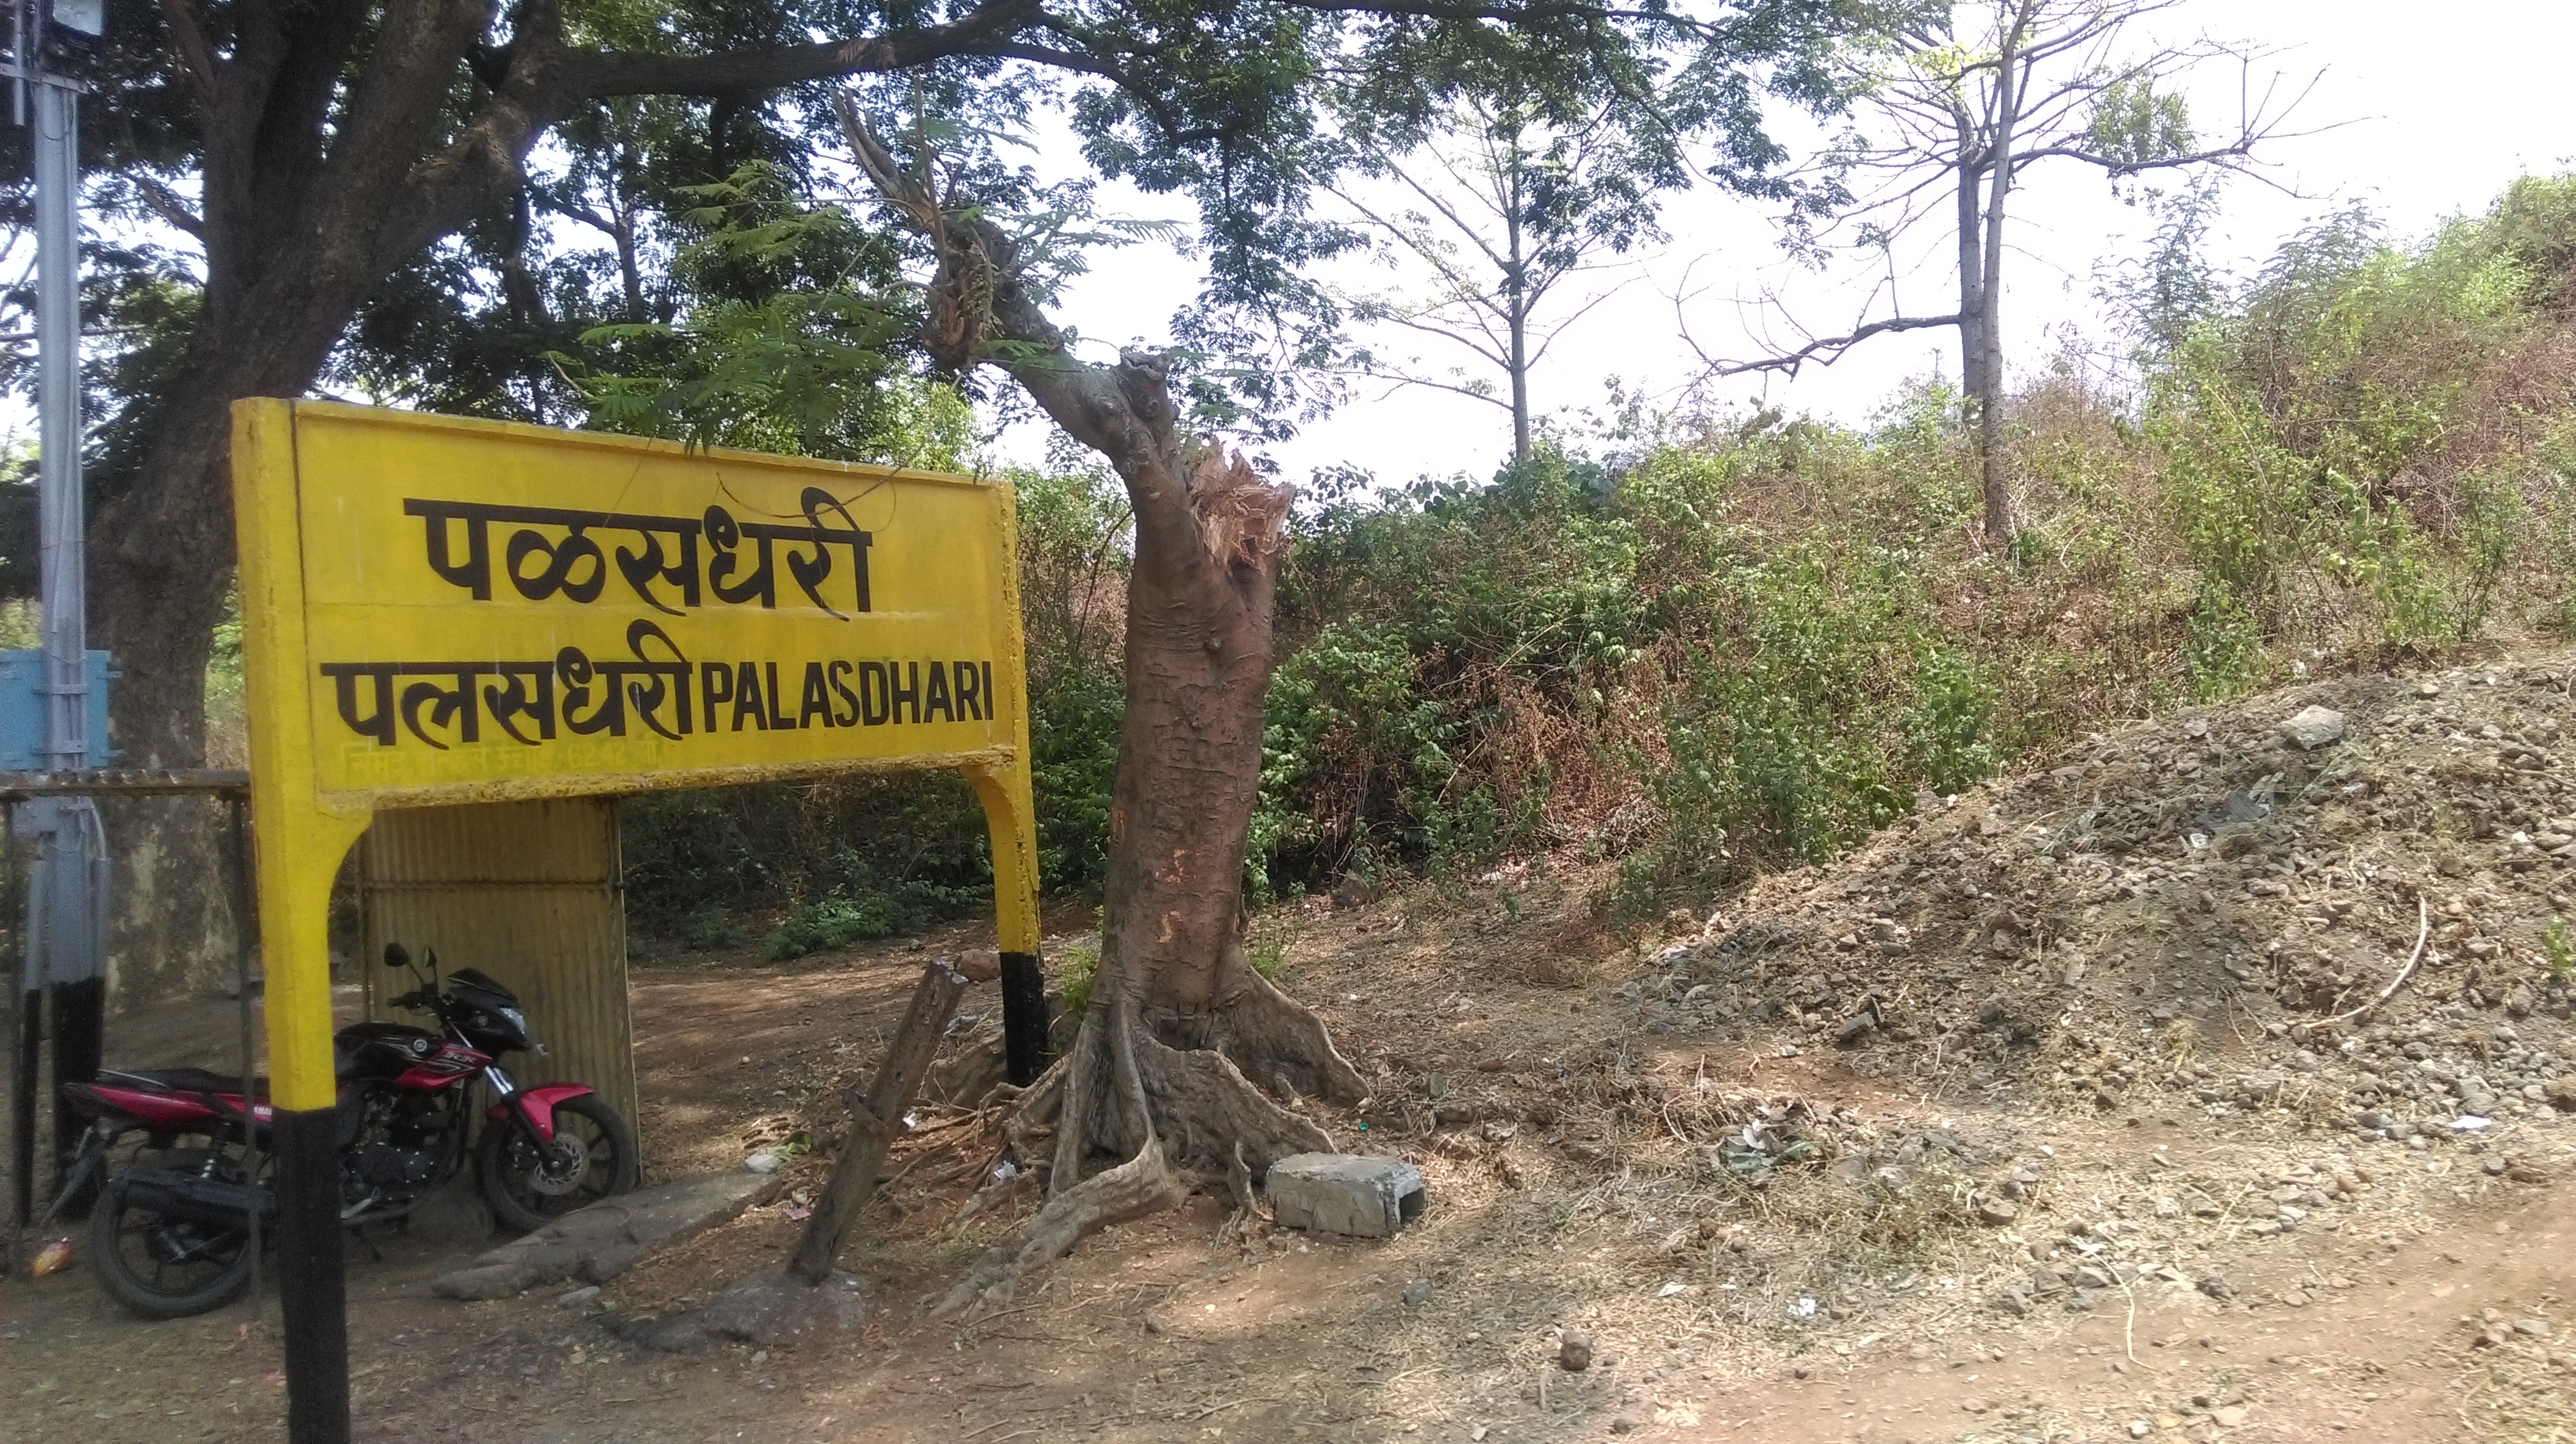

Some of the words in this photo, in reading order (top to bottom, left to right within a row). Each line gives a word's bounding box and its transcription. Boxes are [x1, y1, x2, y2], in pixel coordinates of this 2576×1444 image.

[401, 479, 881, 625] पळसधरी
[318, 614, 699, 756] पलसधरी
[692, 654, 1004, 737] PALASDHARI